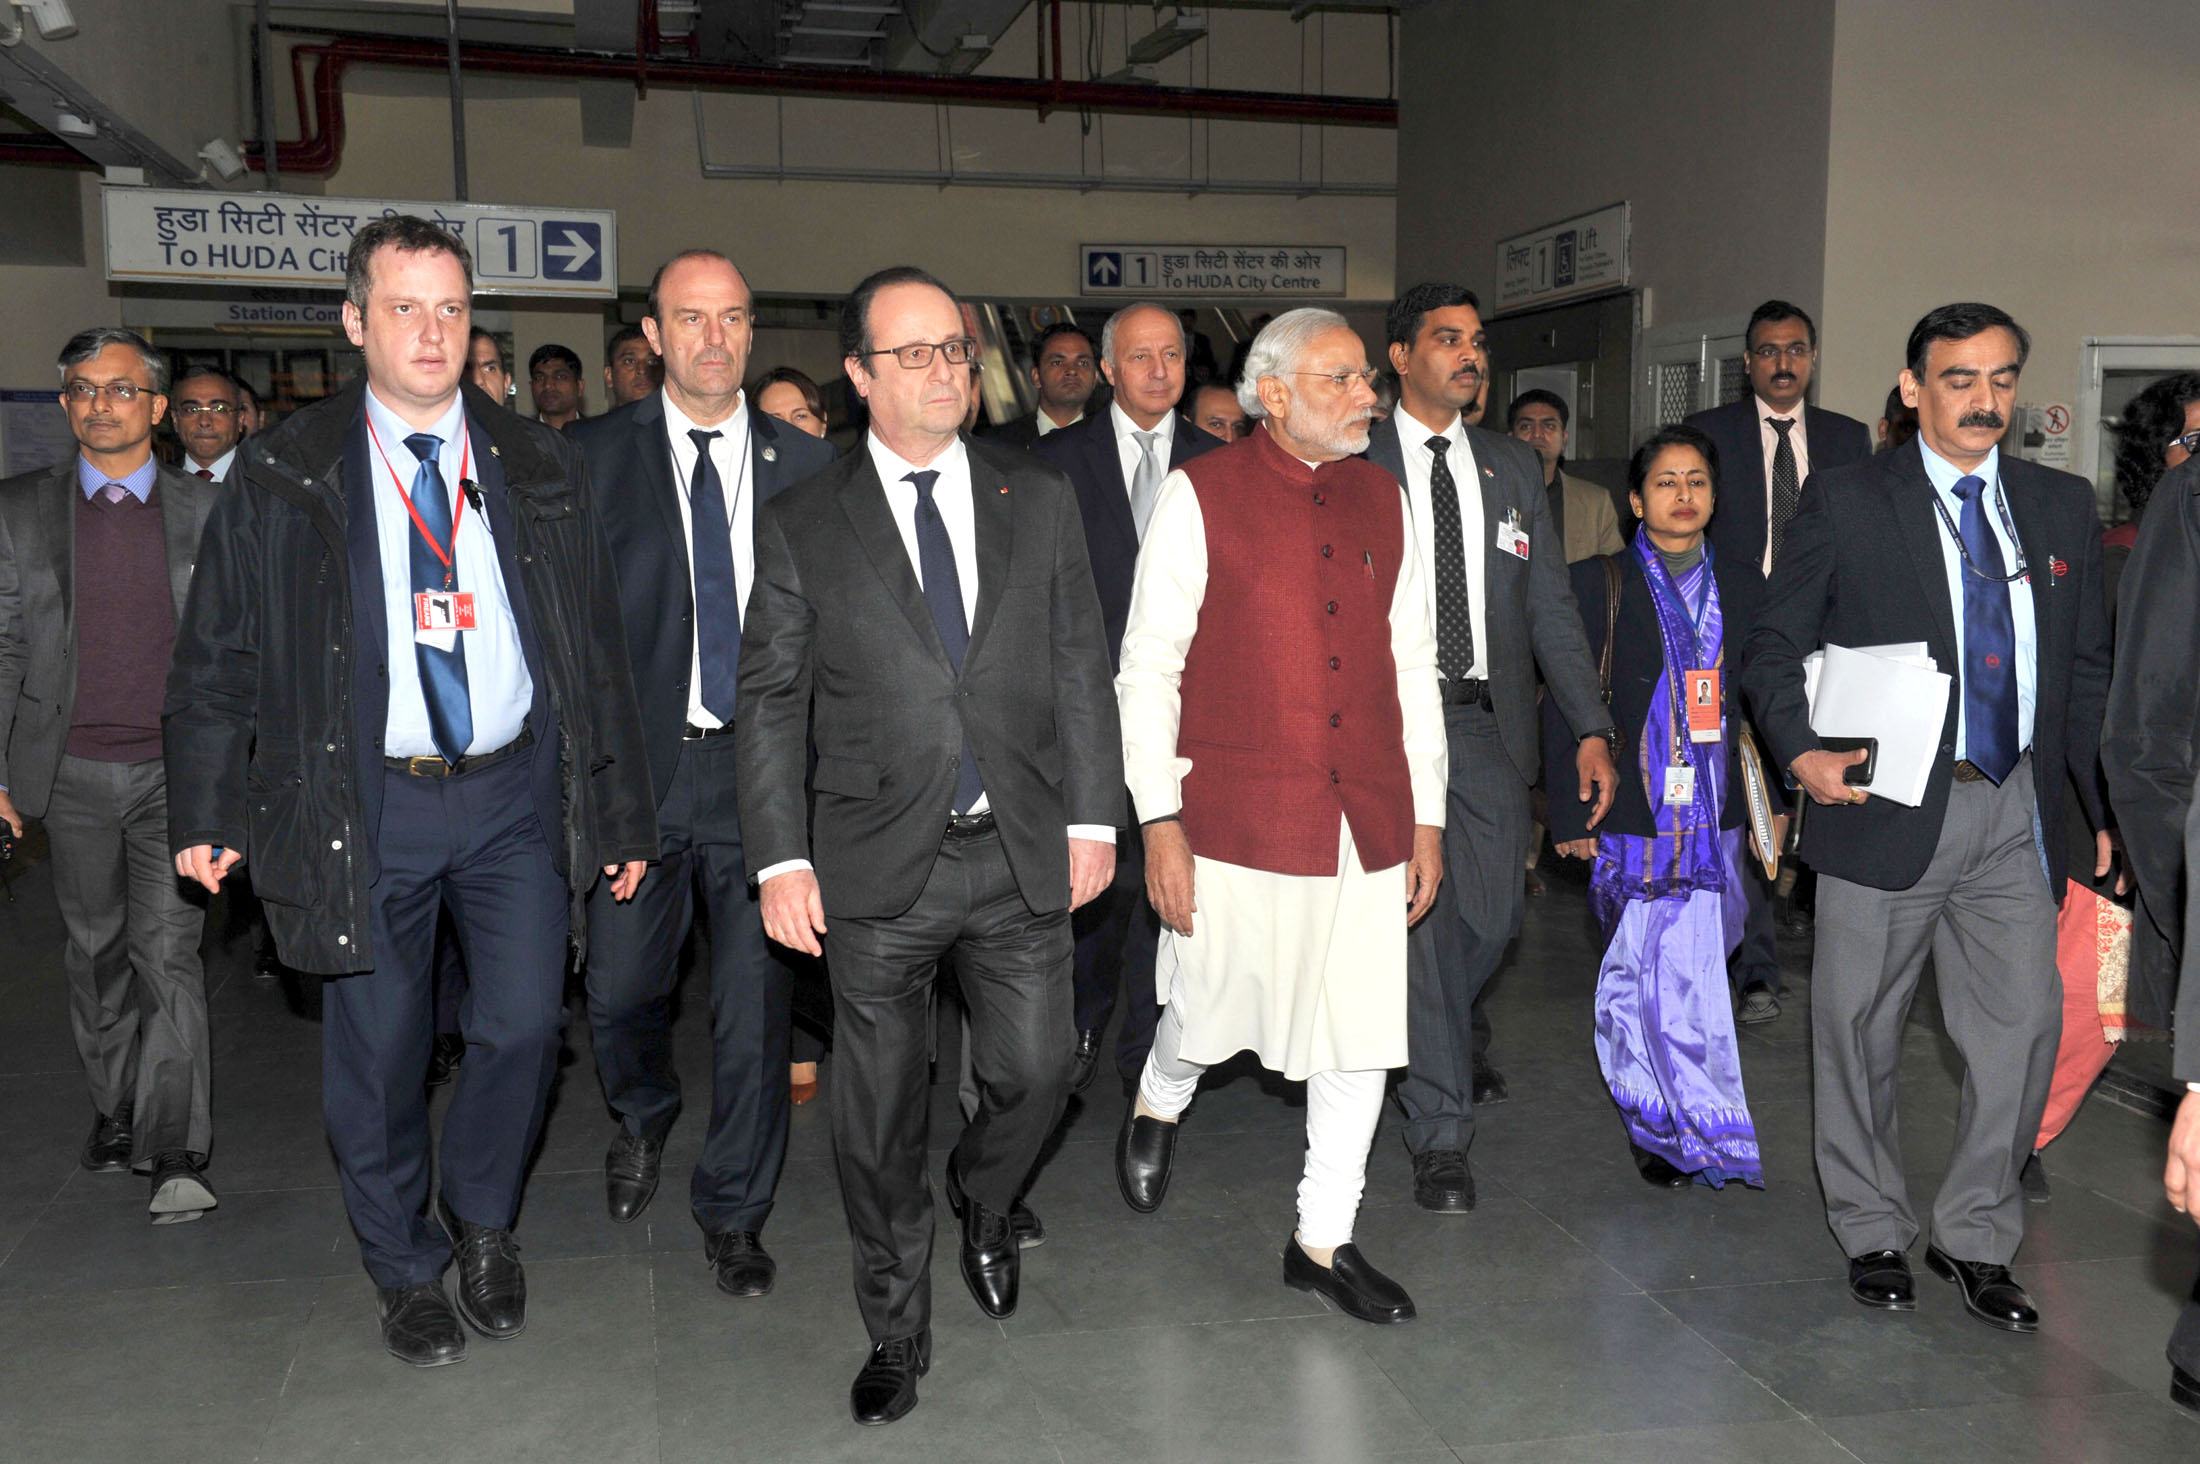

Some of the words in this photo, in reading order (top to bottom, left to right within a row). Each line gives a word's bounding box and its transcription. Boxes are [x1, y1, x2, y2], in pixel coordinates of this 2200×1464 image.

[151, 203, 210, 243] हुडा
[212, 196, 289, 239] सिटी
[293, 196, 361, 242] सेंटर
[155, 237, 199, 270] To
[207, 240, 301, 271] HUDA
[305, 244, 351, 275] Cit
[1159, 249, 1191, 280] हुडा
[1193, 246, 1231, 271] सिटी
[1231, 247, 1268, 271] सेंटर
[1267, 245, 1294, 273] की
[1294, 249, 1323, 272] ओर
[1503, 239, 1534, 273] लिफ्ट
[1576, 223, 1601, 255] Lift
[1158, 271, 1185, 294] To
[1186, 269, 1237, 292] HUDA
[1235, 271, 1269, 293] City
[1270, 269, 1323, 292] Centre
[226, 301, 299, 325] Station